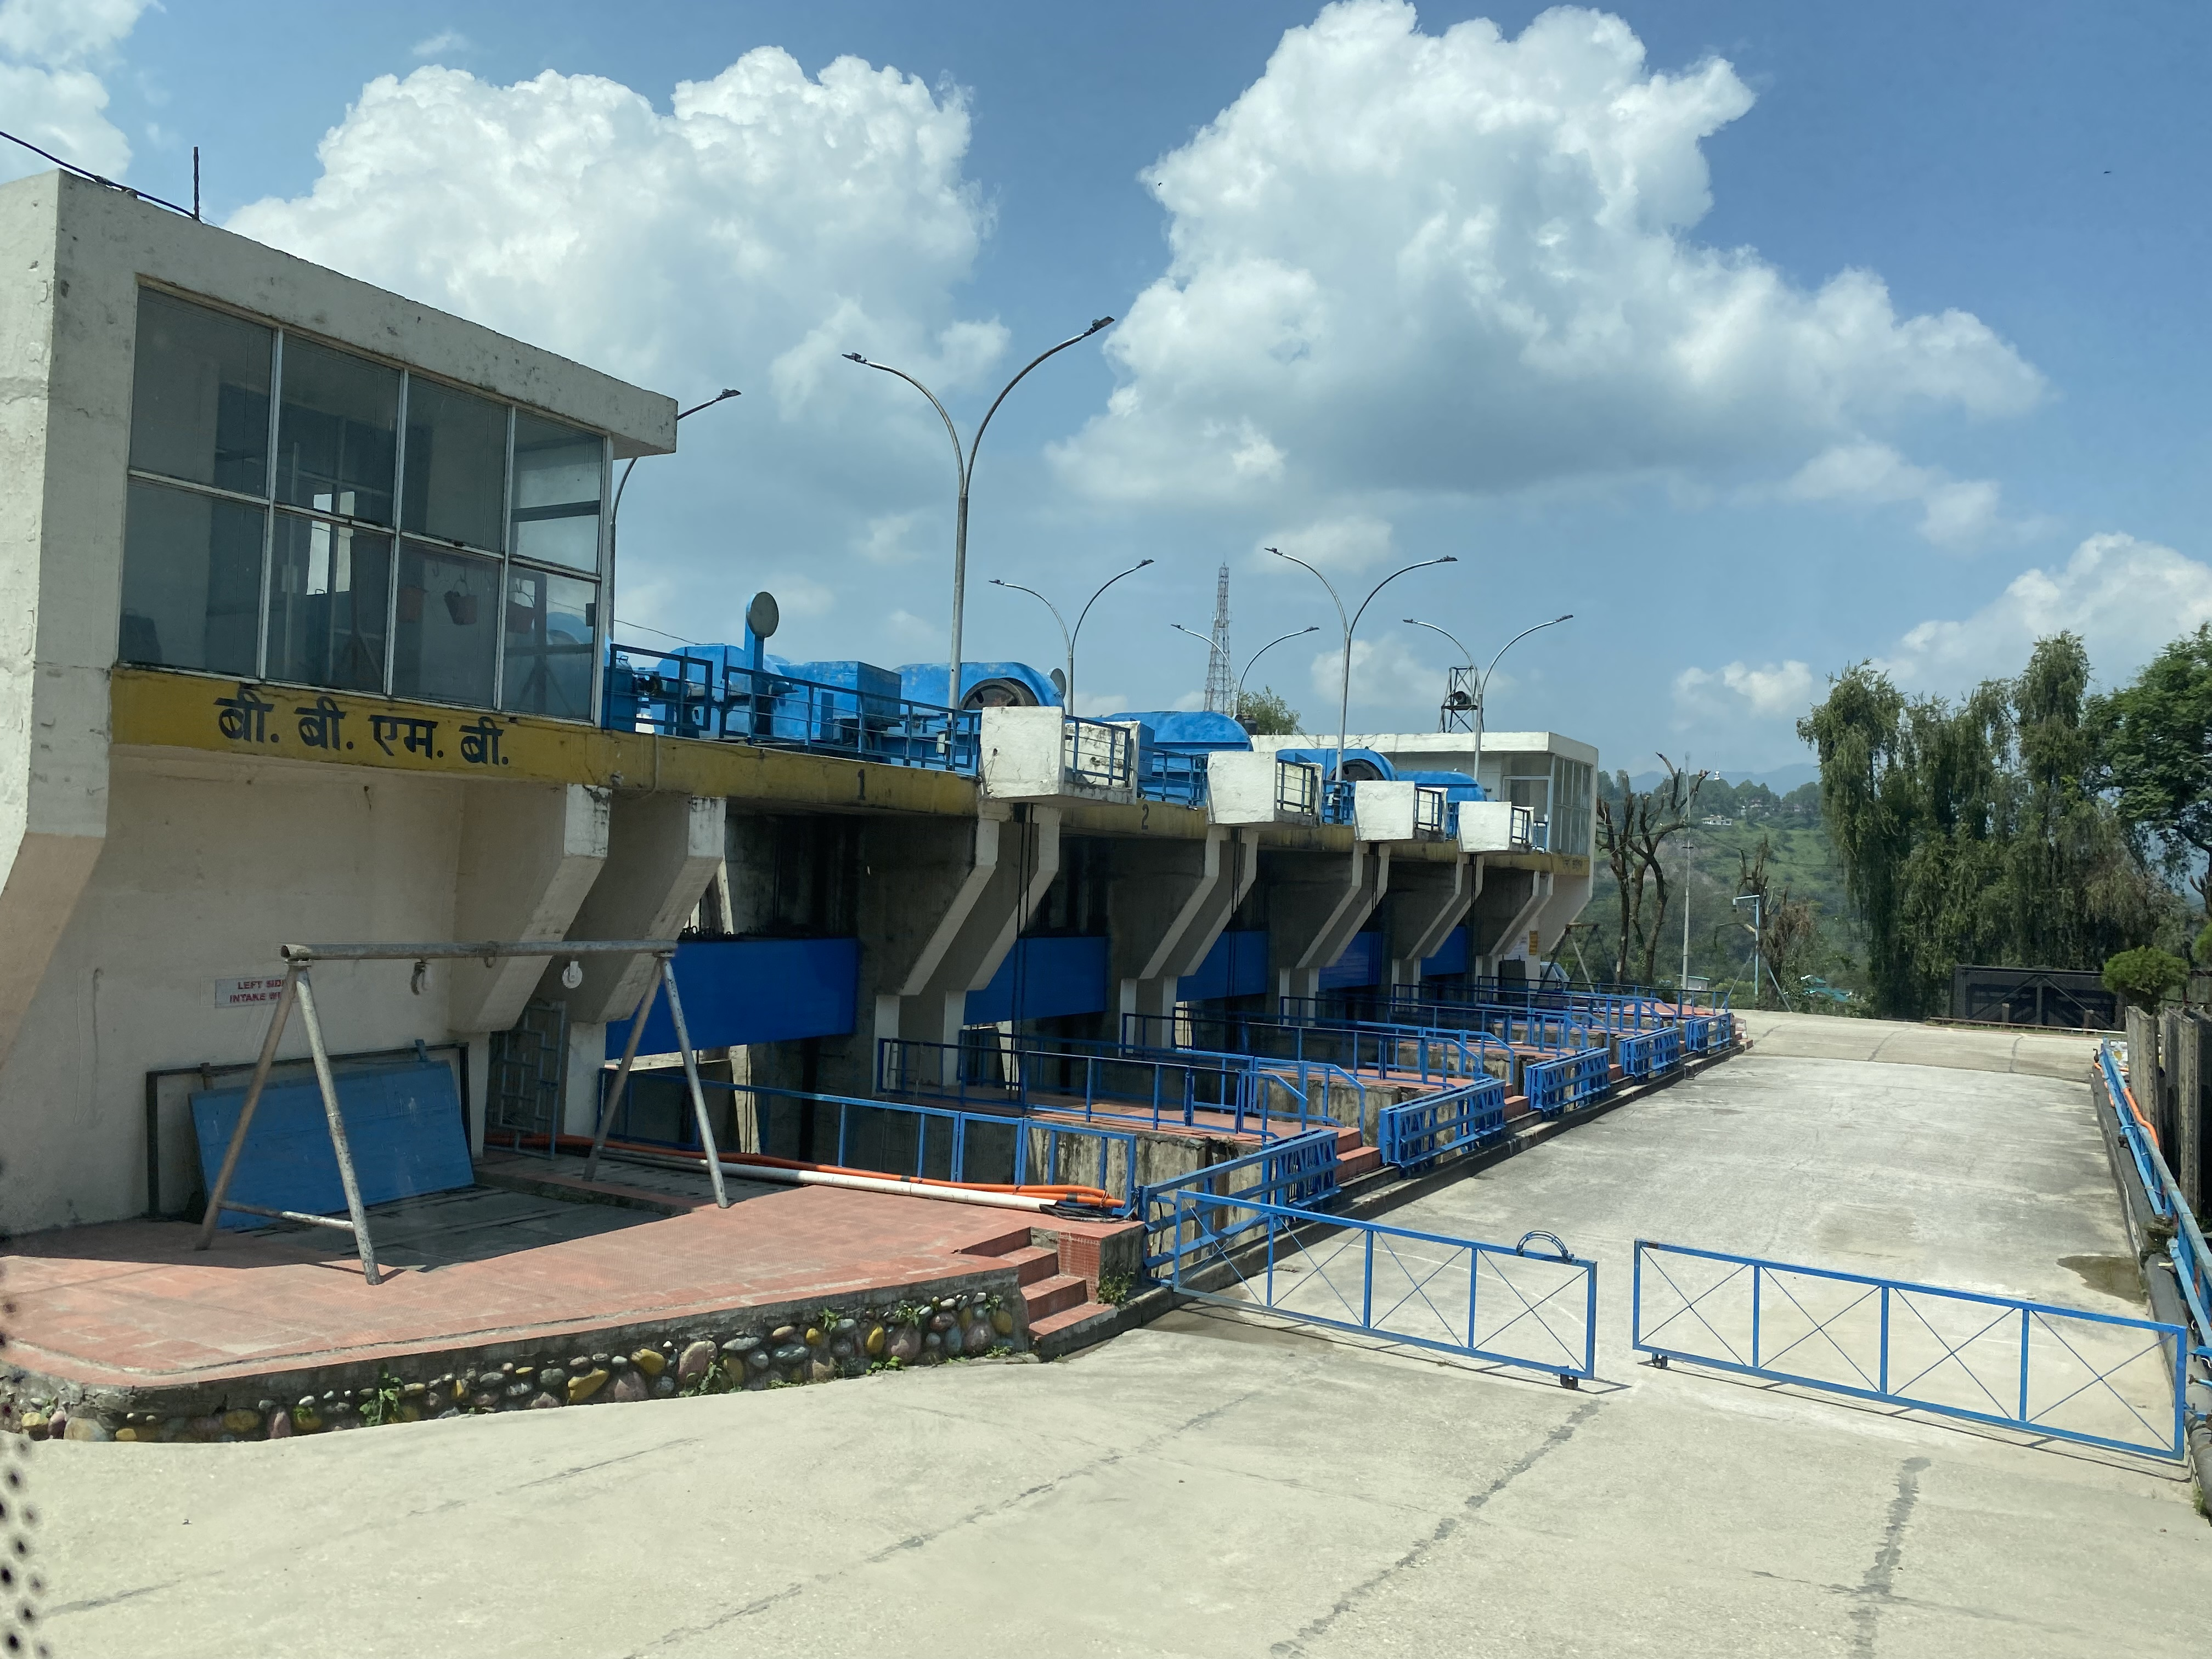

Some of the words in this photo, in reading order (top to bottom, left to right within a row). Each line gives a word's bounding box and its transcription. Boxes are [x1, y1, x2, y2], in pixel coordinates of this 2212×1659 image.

[215, 685, 284, 745] बी.
[293, 689, 359, 755] बी॰
[364, 709, 447, 763] एमः
[456, 711, 515, 768] बी.